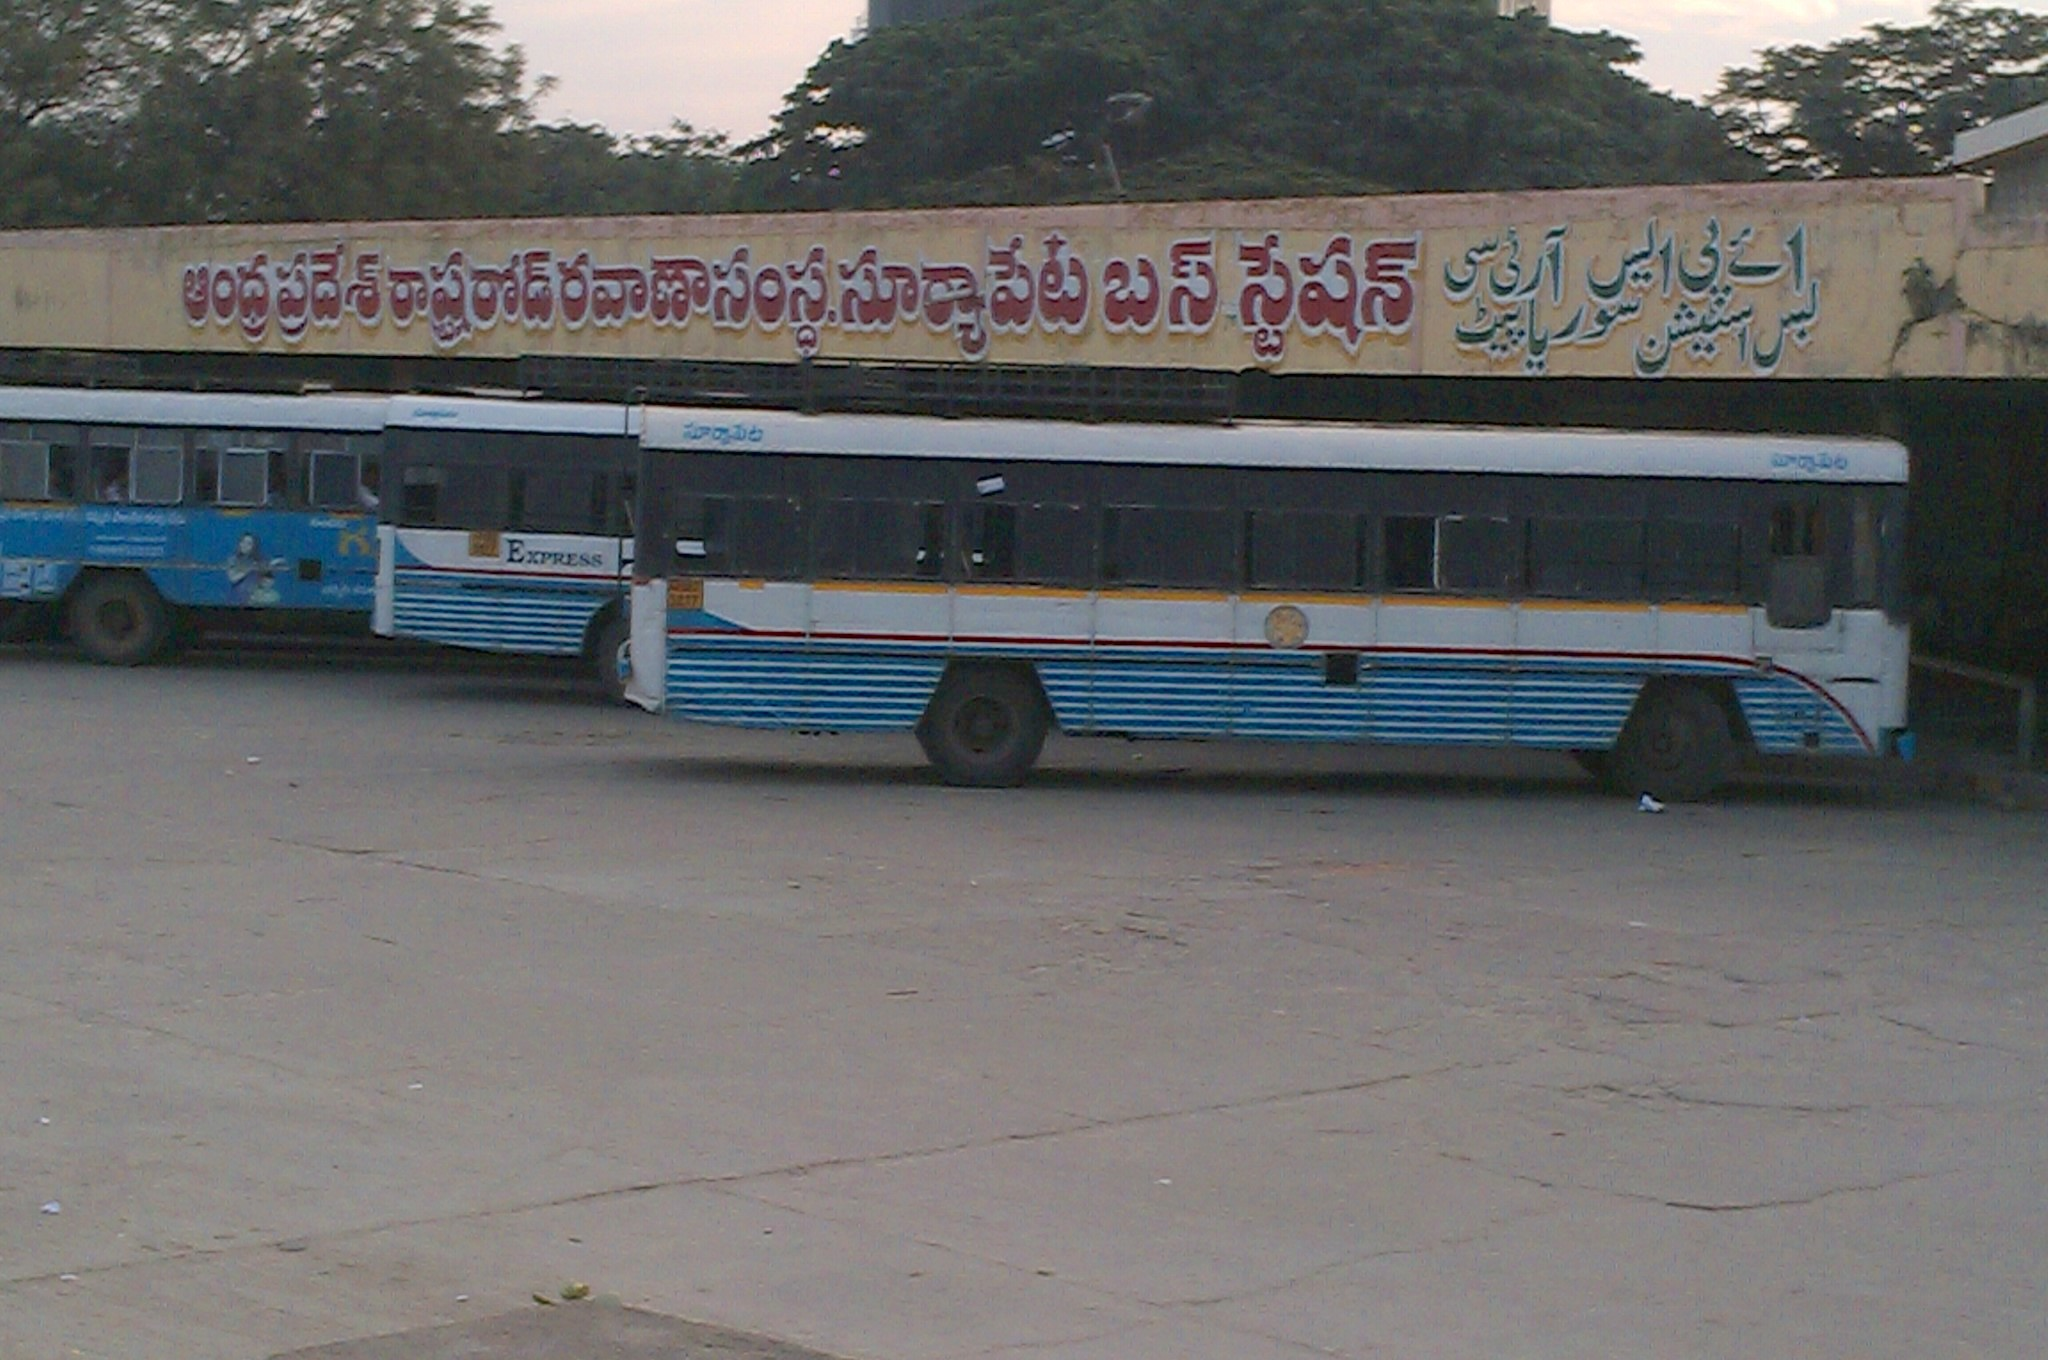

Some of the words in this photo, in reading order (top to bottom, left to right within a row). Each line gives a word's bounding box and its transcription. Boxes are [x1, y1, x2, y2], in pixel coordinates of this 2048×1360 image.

[168, 224, 1098, 363] ఆంధ్ర ప్రదేశ్ రాష్ట్ర రోడ్ రవాణా సంస్థ, సూర్యాపేట
[1094, 229, 1221, 341] బస్
[1230, 229, 1431, 367] స్టేషన్